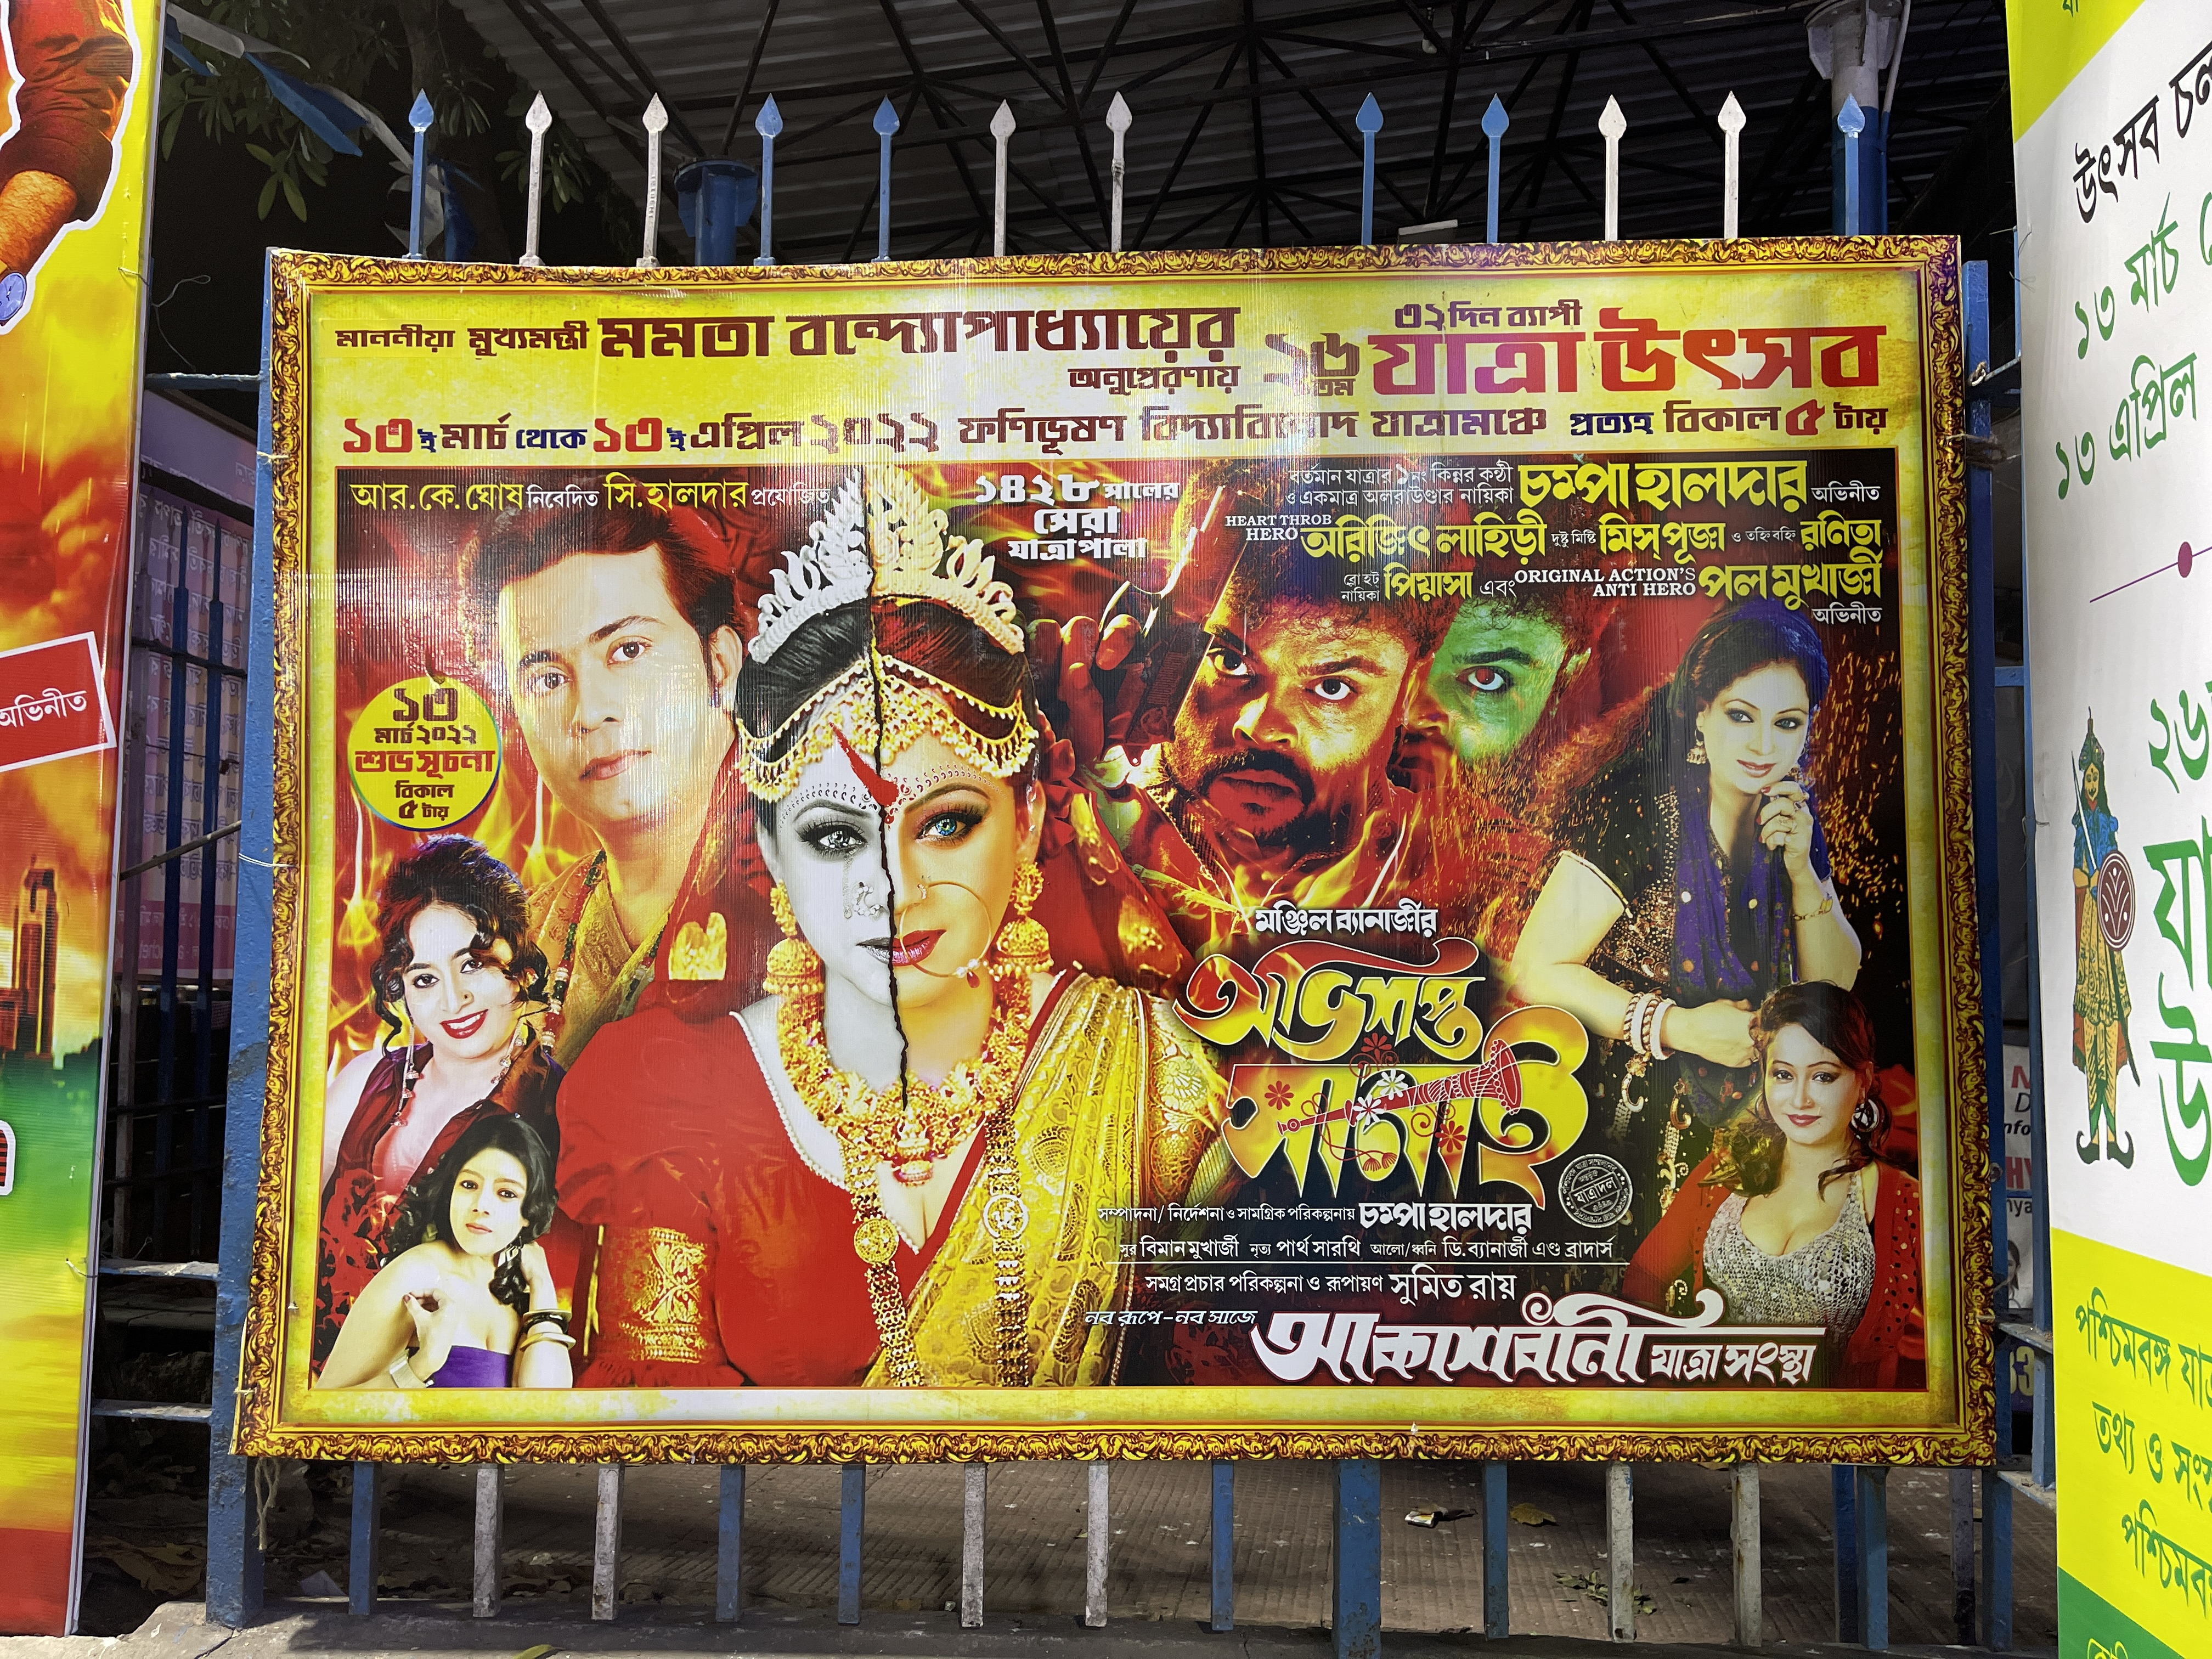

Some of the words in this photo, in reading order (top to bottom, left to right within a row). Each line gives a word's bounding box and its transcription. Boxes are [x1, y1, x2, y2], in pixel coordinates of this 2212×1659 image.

[2050, 88, 2167, 234] উৎসব
[2103, 195, 2192, 319] মার্চ
[331, 319, 459, 360] মাননীয়া
[466, 314, 596, 362] মুখ্যমন্ত্রী
[595, 308, 780, 365] মমতা
[779, 295, 1244, 368] বন্দ্যোপাধ্যা ধ্যায়ের
[1068, 354, 1244, 405] অনুপ্রেরণায়
[1357, 325, 1590, 400] যাত্রা
[1438, 289, 1590, 334] দিন ব্যাপী
[1587, 291, 1892, 399] উৎসব
[2058, 279, 2130, 365] ১৩
[335, 413, 417, 460] ১৩
[430, 409, 520, 458] মার্চ
[505, 411, 590, 461] থোক
[586, 410, 667, 460] ১৩
[687, 406, 817, 461] এপ্রিল
[803, 404, 950, 466] ২0২২
[946, 402, 1133, 463] ফণিভূষণ
[1129, 398, 1362, 448] বিদ্যাবিনোদ
[1362, 399, 1553, 448] যাত্রামঞ্চে
[1561, 404, 1659, 441] প্রত্যহ
[1654, 391, 1786, 442] বিকাল
[1824, 397, 1893, 440] টায়
[2102, 345, 2203, 469] এপ্রিল
[346, 478, 525, 513] আর.কে. ঘোষ
[523, 476, 602, 512] নিবেদিত
[596, 461, 752, 513] সি.হালদার
[746, 481, 833, 508] প্রযোজিত
[973, 469, 1105, 511] ১৪২৮
[1098, 477, 1183, 501] সালের
[1285, 459, 1344, 491] বর্তমান
[1279, 486, 1363, 510] ওএকমাত্র
[1340, 464, 1395, 489] যাত্রার
[1360, 484, 1457, 506] অলরাউণ্ডার
[1392, 459, 1430, 491] ১নং
[1424, 456, 1477, 487] কিন্নর
[1456, 475, 1516, 509] নায়িকা
[1475, 455, 1517, 487] কন্ঠী
[1510, 451, 1823, 520] চম্পা হালদার
[1806, 469, 1887, 515] অভিনীত
[1807, 477, 1888, 506] অভিনীত
[2040, 426, 2101, 503] ১৩
[1005, 532, 1151, 565] যাত্রাপালা
[1031, 499, 1126, 540] সেরা
[1221, 505, 1277, 530] HEART
[1242, 524, 1302, 545] HERO
[1276, 511, 1335, 527] THROB
[1296, 510, 1435, 567] অরিজিৎ
[1432, 507, 1551, 569] ল৷হিড়ী
[1547, 526, 1574, 550] দুষ্টু
[1565, 524, 1602, 547] মিষ্টি
[1588, 505, 1733, 570] মিস্ পূজা
[1727, 524, 1798, 546] ওতহ্নিবহ্নি
[1798, 499, 1886, 555] রণিতা
[1334, 584, 1386, 604] নায়িকা
[1339, 565, 1389, 592] ব্লো হট
[1373, 551, 1483, 605] পিয়াসা
[1479, 574, 1520, 603] এবং
[1511, 560, 1610, 589] ORIGINAL
[1587, 574, 1639, 601] ANTI
[1605, 562, 1700, 584] ACTION
[1642, 577, 1699, 601] HERO
[1697, 543, 1887, 619] পল মুখার্জী
[1804, 596, 1885, 630] অভিনীত
[1, 681, 92, 735] অভিনীত
[386, 682, 466, 727] ১৩
[364, 719, 480, 749] মার্চ২০২২
[351, 747, 500, 783] শুডসূচনা
[386, 774, 459, 803] বিকাল
[396, 799, 452, 826] ৫টায়
[1246, 892, 1444, 945] মঞ্জিলব্য৷নাভীর
[2138, 661, 2211, 1198] ২৬ ঘাউ
[1215, 997, 1597, 1215] সানহি
[1092, 1203, 1162, 1229] সম্পাদনা/
[1160, 1198, 1227, 1227] নির্দেশনা
[1223, 1201, 1288, 1226] ওসামগ্রিক
[1281, 1197, 1358, 1227] পরিকল্পনায়
[1354, 1188, 1544, 1240] চম্পা হালদার
[1114, 1236, 1141, 1260] সুর
[1134, 1227, 1247, 1263] বিমান মুখার্জী
[1248, 1238, 1276, 1260] নৃত্য
[1271, 1231, 1362, 1260] পার্থ সারথি
[1365, 1239, 1409, 1260] আলো/
[1408, 1235, 1438, 1259] ধ্বনি
[1435, 1230, 1532, 1262] ডি. ব্যানার্জী
[1526, 1235, 1620, 1261] এণ্ডব্রাদার্স
[1143, 1267, 1228, 1294] সমগ্রপ্রচার
[1223, 1263, 1306, 1295] পরিকল্পনা
[1303, 1272, 1385, 1294] ওরূপায়ণ
[1381, 1259, 1520, 1309] সুমিতরায়
[1082, 1306, 1165, 1329] নব রূপে
[1169, 1304, 1261, 1330] নবসাজে
[1241, 1283, 1778, 1393] আকাশবানী যাত্রা সং
[2063, 1285, 2181, 1391] পশ্চিমবঙ্গ
[2083, 1390, 2143, 1478] তথ্য
[2137, 1426, 2211, 1517] ওসং
[2119, 1493, 2209, 1622] পশ্চিমব